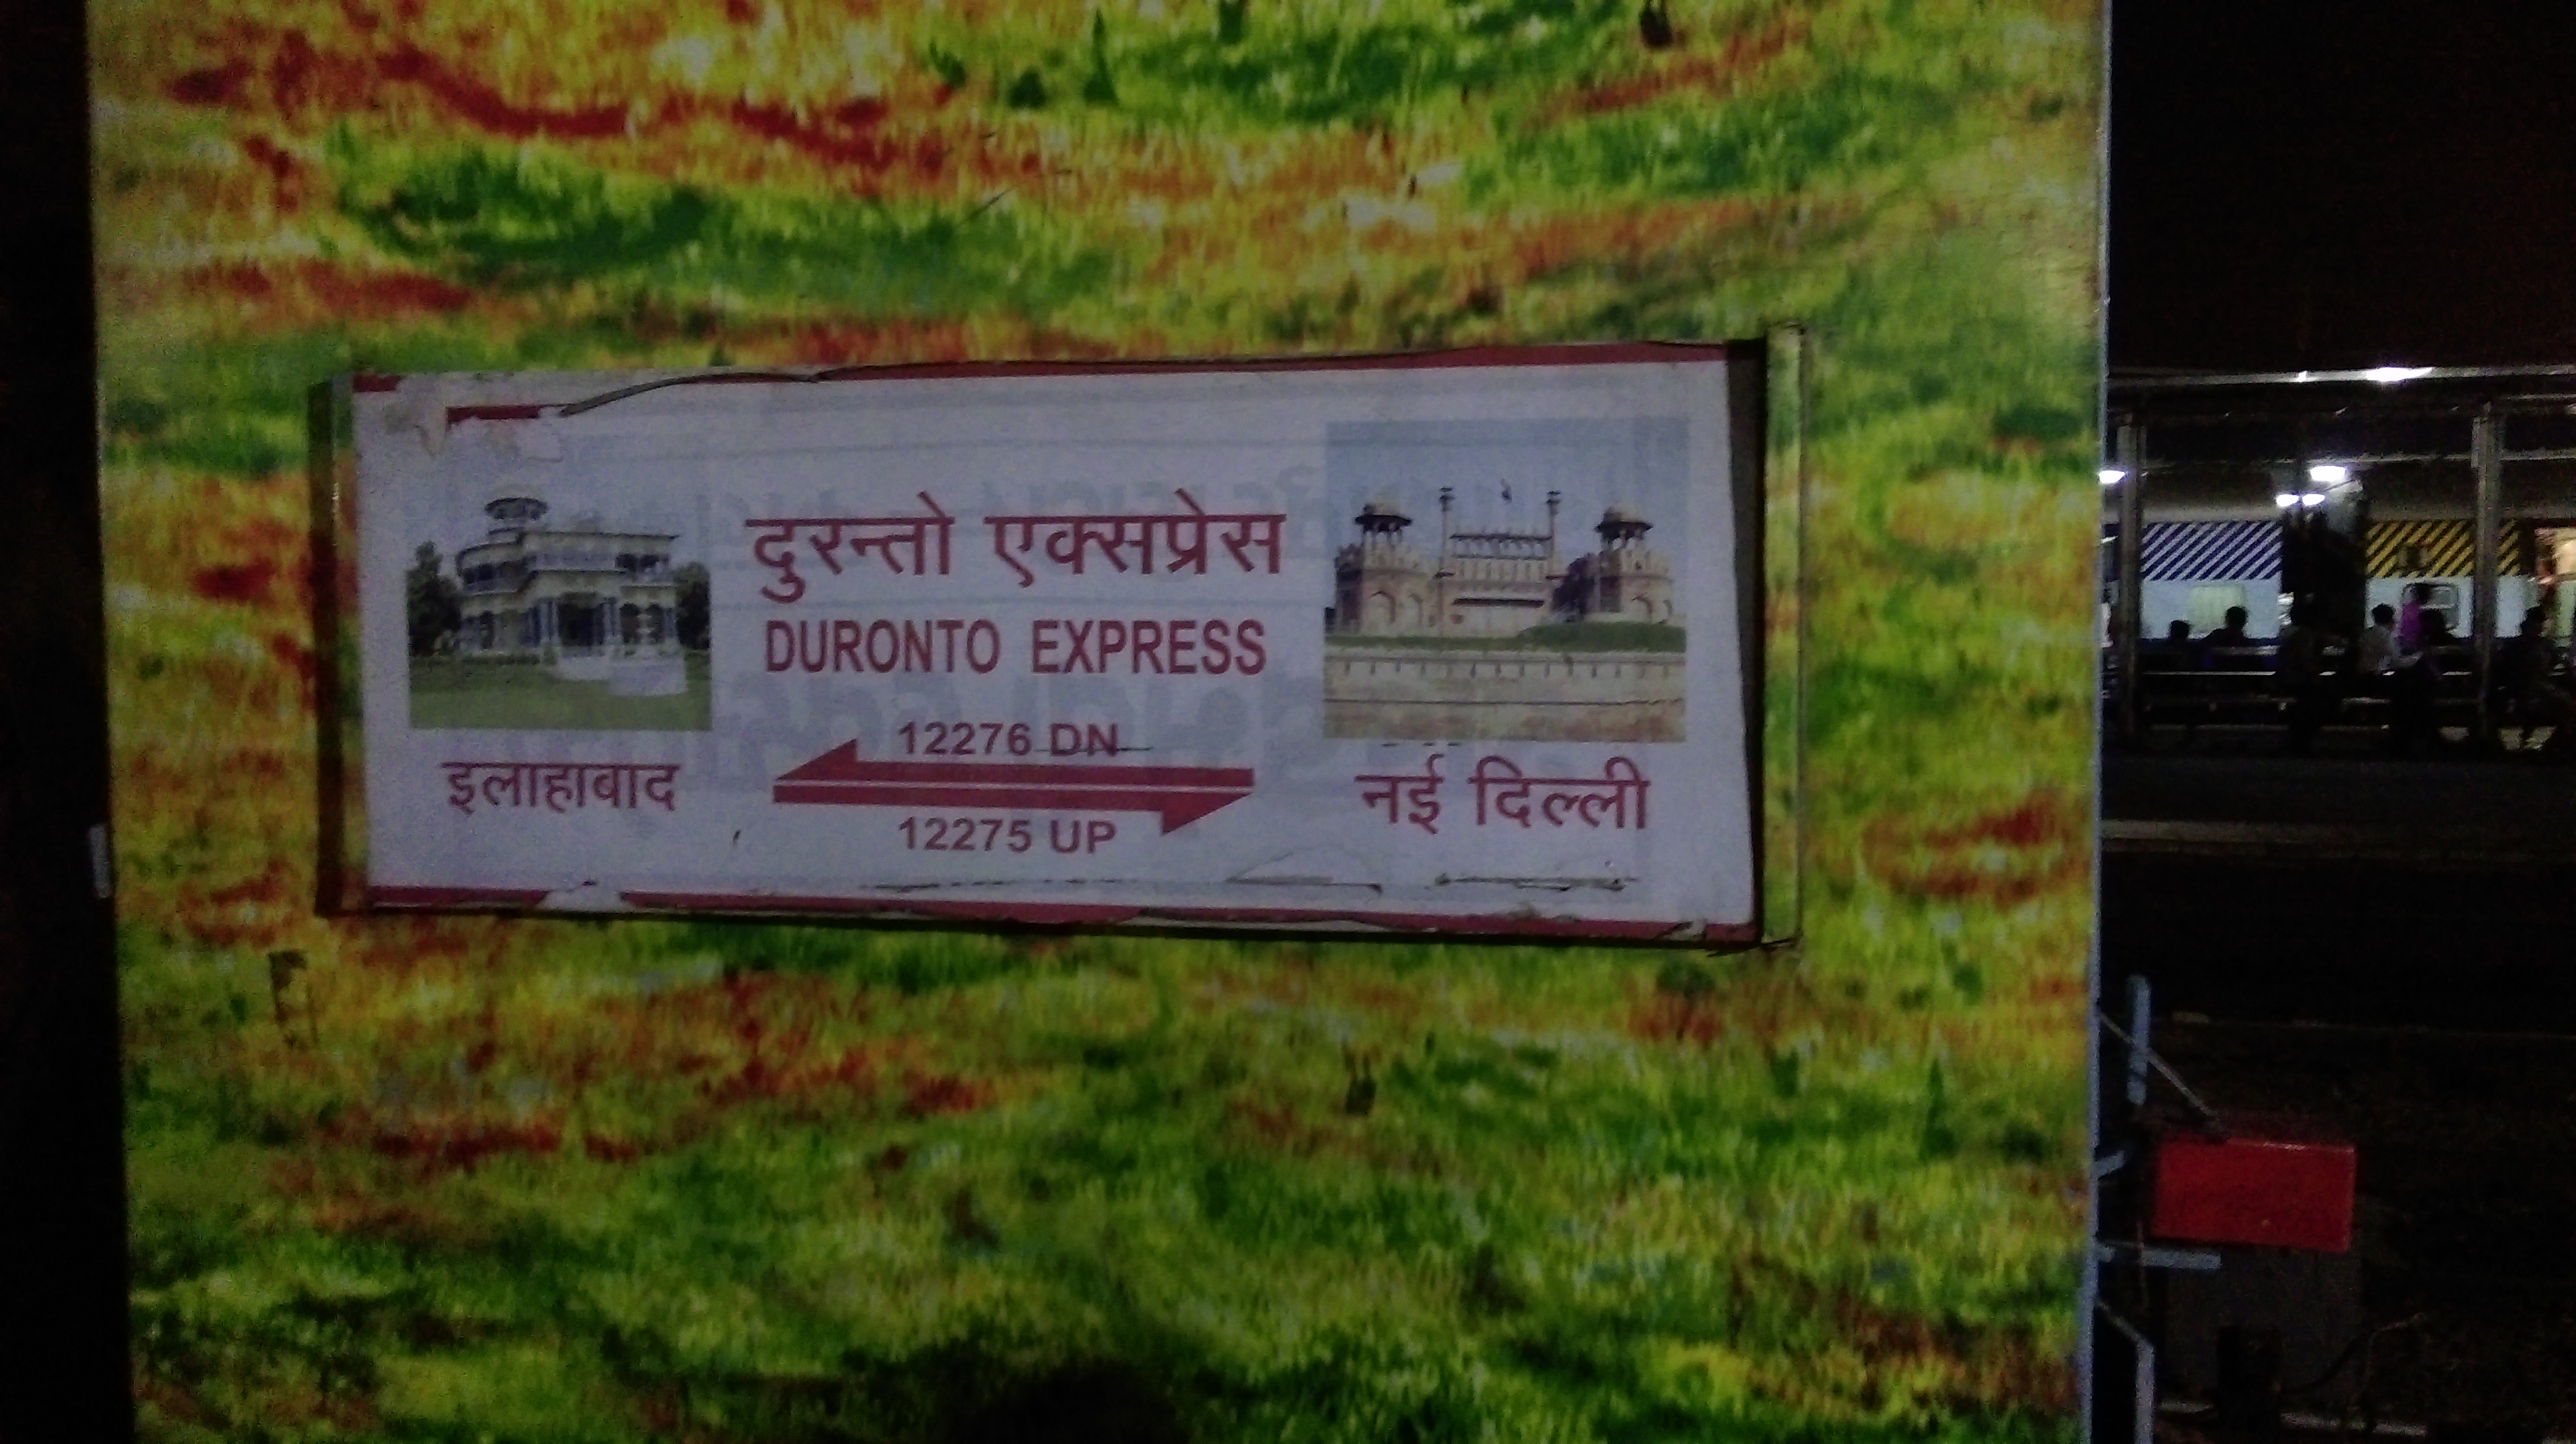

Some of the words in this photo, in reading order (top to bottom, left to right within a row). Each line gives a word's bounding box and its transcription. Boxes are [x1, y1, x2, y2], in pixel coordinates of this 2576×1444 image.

[743, 488, 958, 610] दुरन्तो
[981, 485, 1287, 595] एक्सप्रेस
[763, 615, 1006, 674] DURONTO
[1028, 615, 1268, 677] EXPRESS
[901, 716, 1037, 762] 12276
[1046, 721, 1120, 761] DN
[438, 757, 684, 817] इलाहाबाद
[1350, 746, 1450, 837] नई
[1467, 749, 1651, 833] दिल्ली
[898, 813, 1034, 855] 12275
[1041, 810, 1122, 859] UP